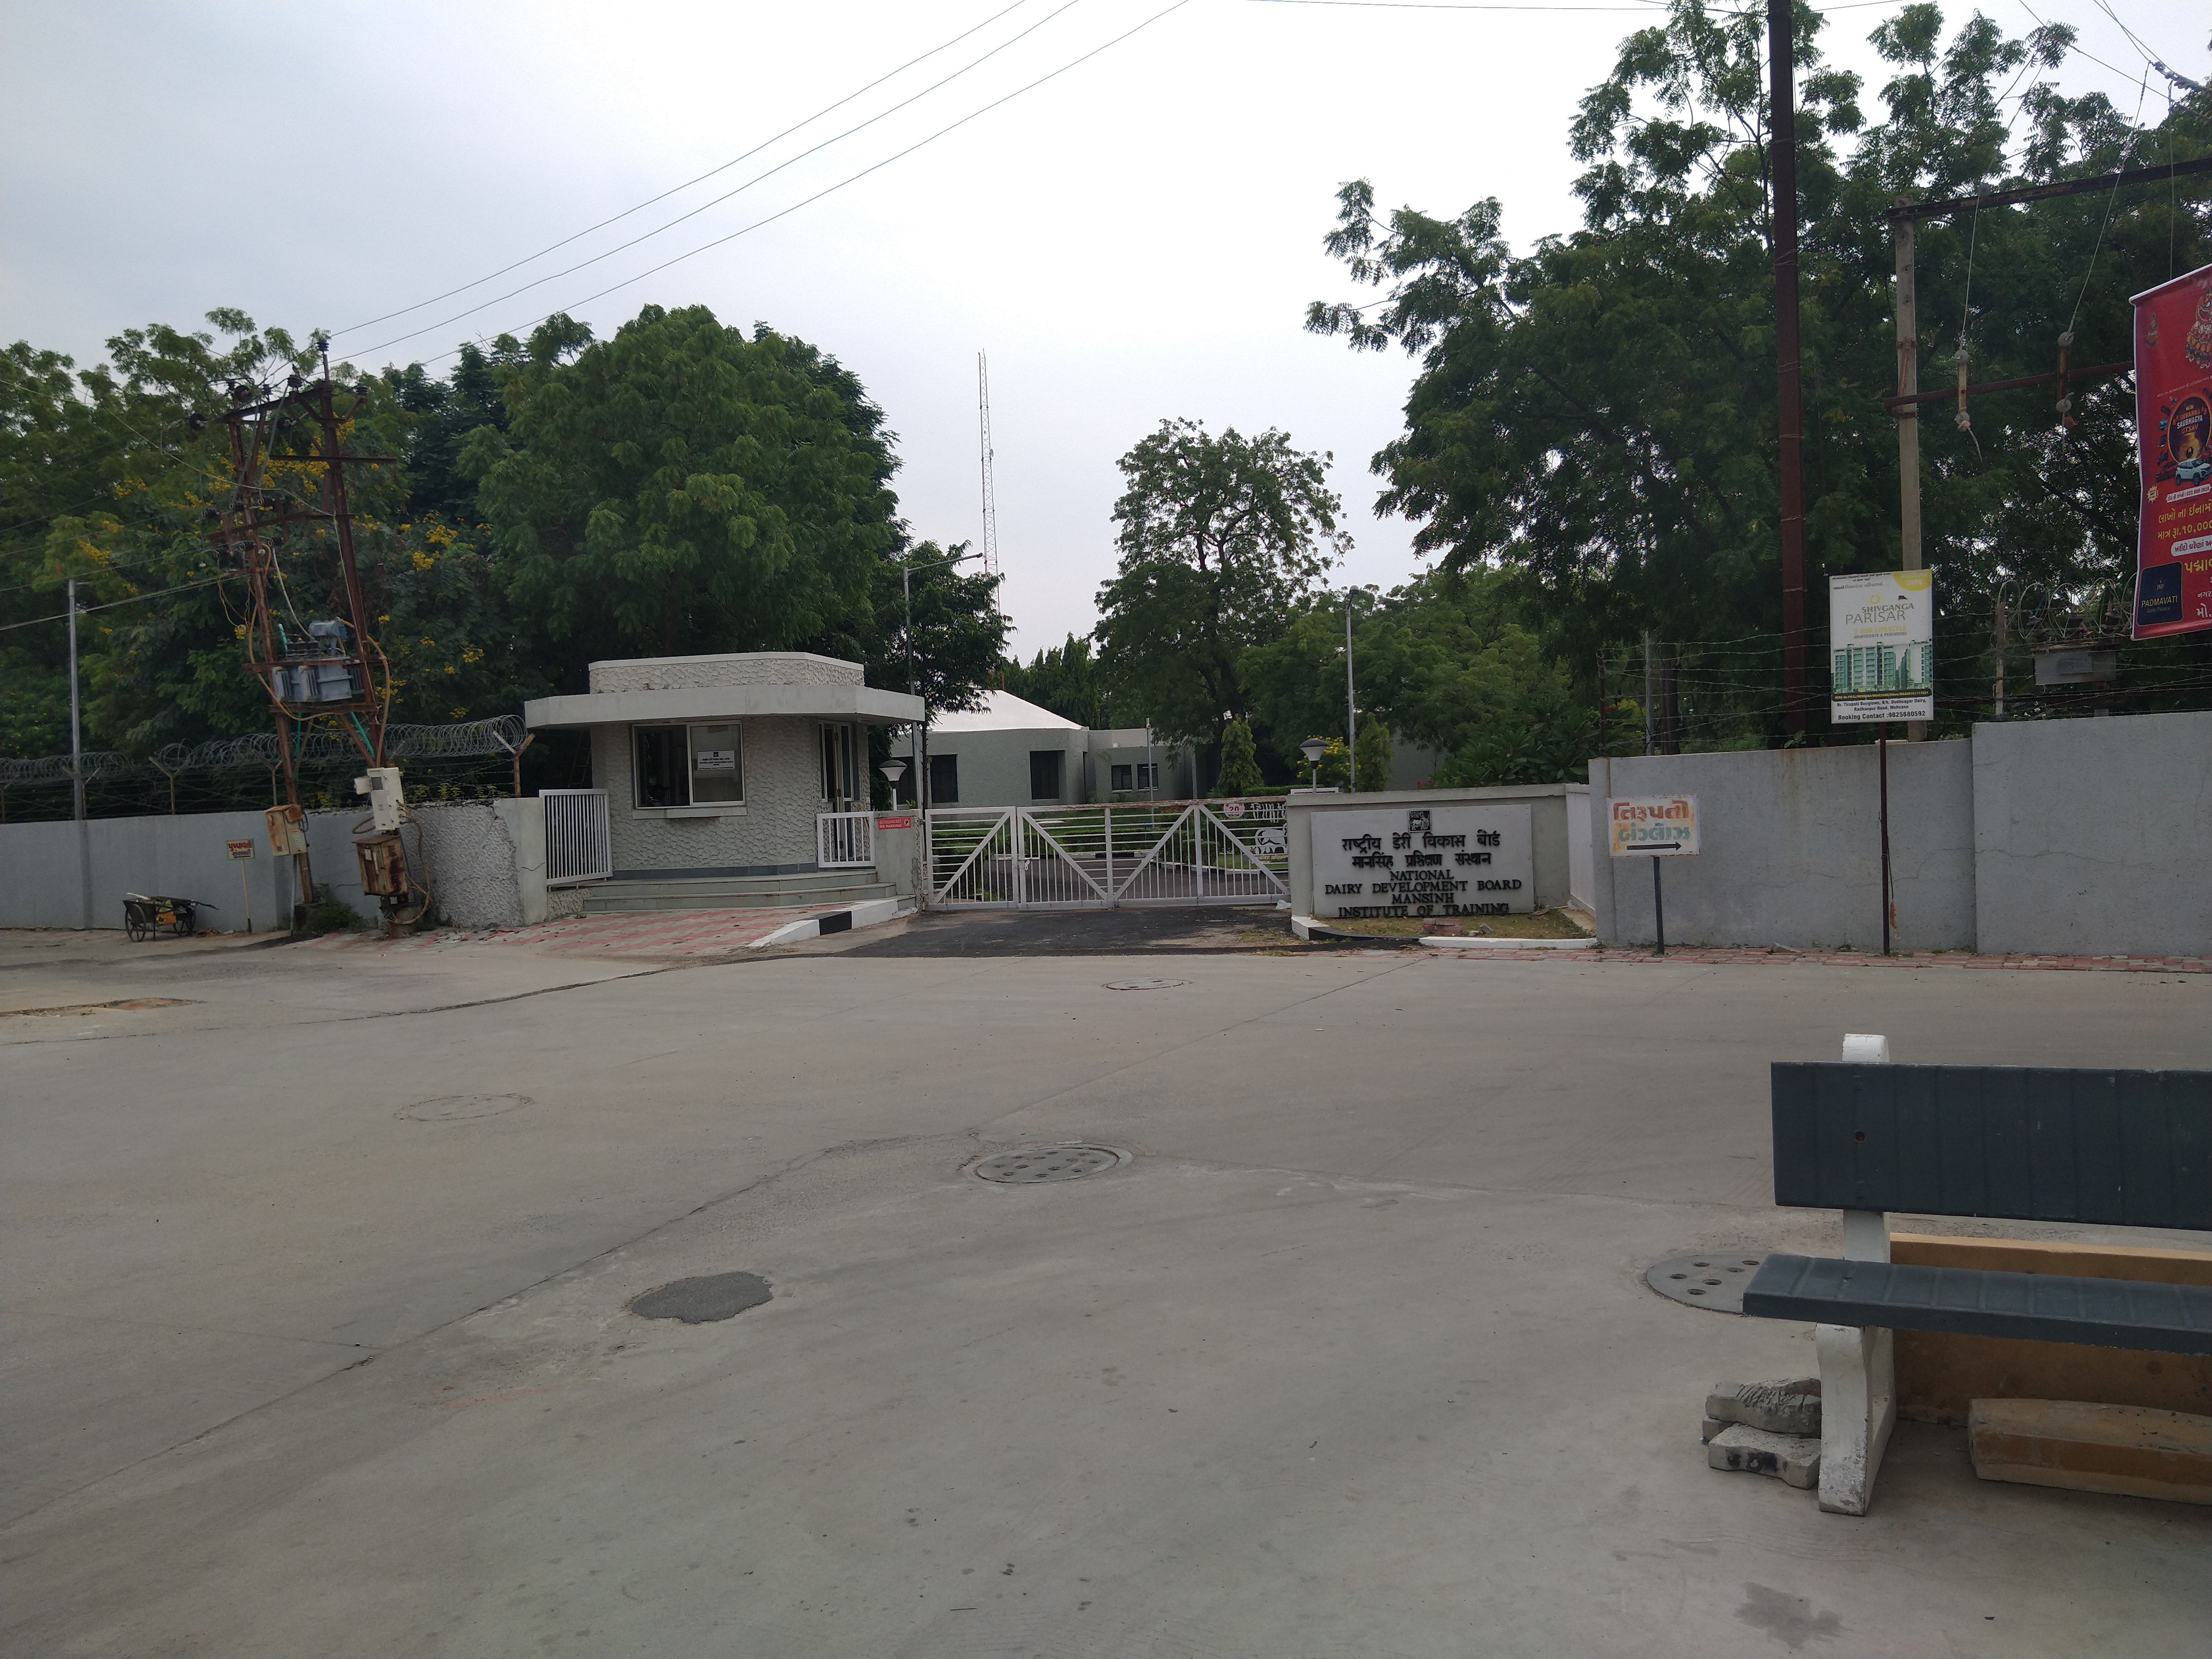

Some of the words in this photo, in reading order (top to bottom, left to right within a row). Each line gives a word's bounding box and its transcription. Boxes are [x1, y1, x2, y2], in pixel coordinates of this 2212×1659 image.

[2154, 506, 2176, 526] લાખો
[2176, 507, 2188, 519] ના
[2188, 500, 2212, 515] ઇનામ
[2155, 529, 2173, 541] માત્ર
[2172, 524, 2180, 540] ३૧
[2179, 518, 2212, 537] ૧૦,૦૦૦
[2182, 557, 2212, 575] પદ્મા
[2195, 590, 2211, 599] નગર
[1861, 601, 1916, 613] SHIVGANGA
[2138, 595, 2179, 609] PADMAVATI
[2194, 601, 2212, 620] મો.
[1845, 611, 1909, 625] PARISAR
[1836, 714, 1861, 721] Booking
[1861, 713, 1886, 720] Contact
[1887, 710, 1926, 719] 9825680592
[1609, 797, 1693, 823] તિ३પતી
[226, 839, 254, 851] પુષપાવતી
[1339, 832, 1386, 854] राष्‍ट्रीय
[1388, 830, 1413, 852] डेरी
[1419, 830, 1469, 849] विकास
[1475, 828, 1503, 848] बोर्ड
[1618, 821, 1691, 843] બંગ્લાંઝ
[1349, 850, 1398, 870] मानसिंह
[1402, 849, 1446, 867] प्रशिक्षण
[1453, 848, 1496, 866] संस्थान
[1389, 868, 1456, 881] NATIONAL
[1322, 884, 1365, 895] DAIRY
[1369, 880, 1470, 893] DEVELOPMENT
[1476, 879, 1523, 891] BOARD
[1390, 891, 1455, 904] MANSINH
[1335, 905, 1409, 917] INSTITUTE
[1415, 904, 1435, 917] OF
[1441, 901, 1511, 916] TRAINING